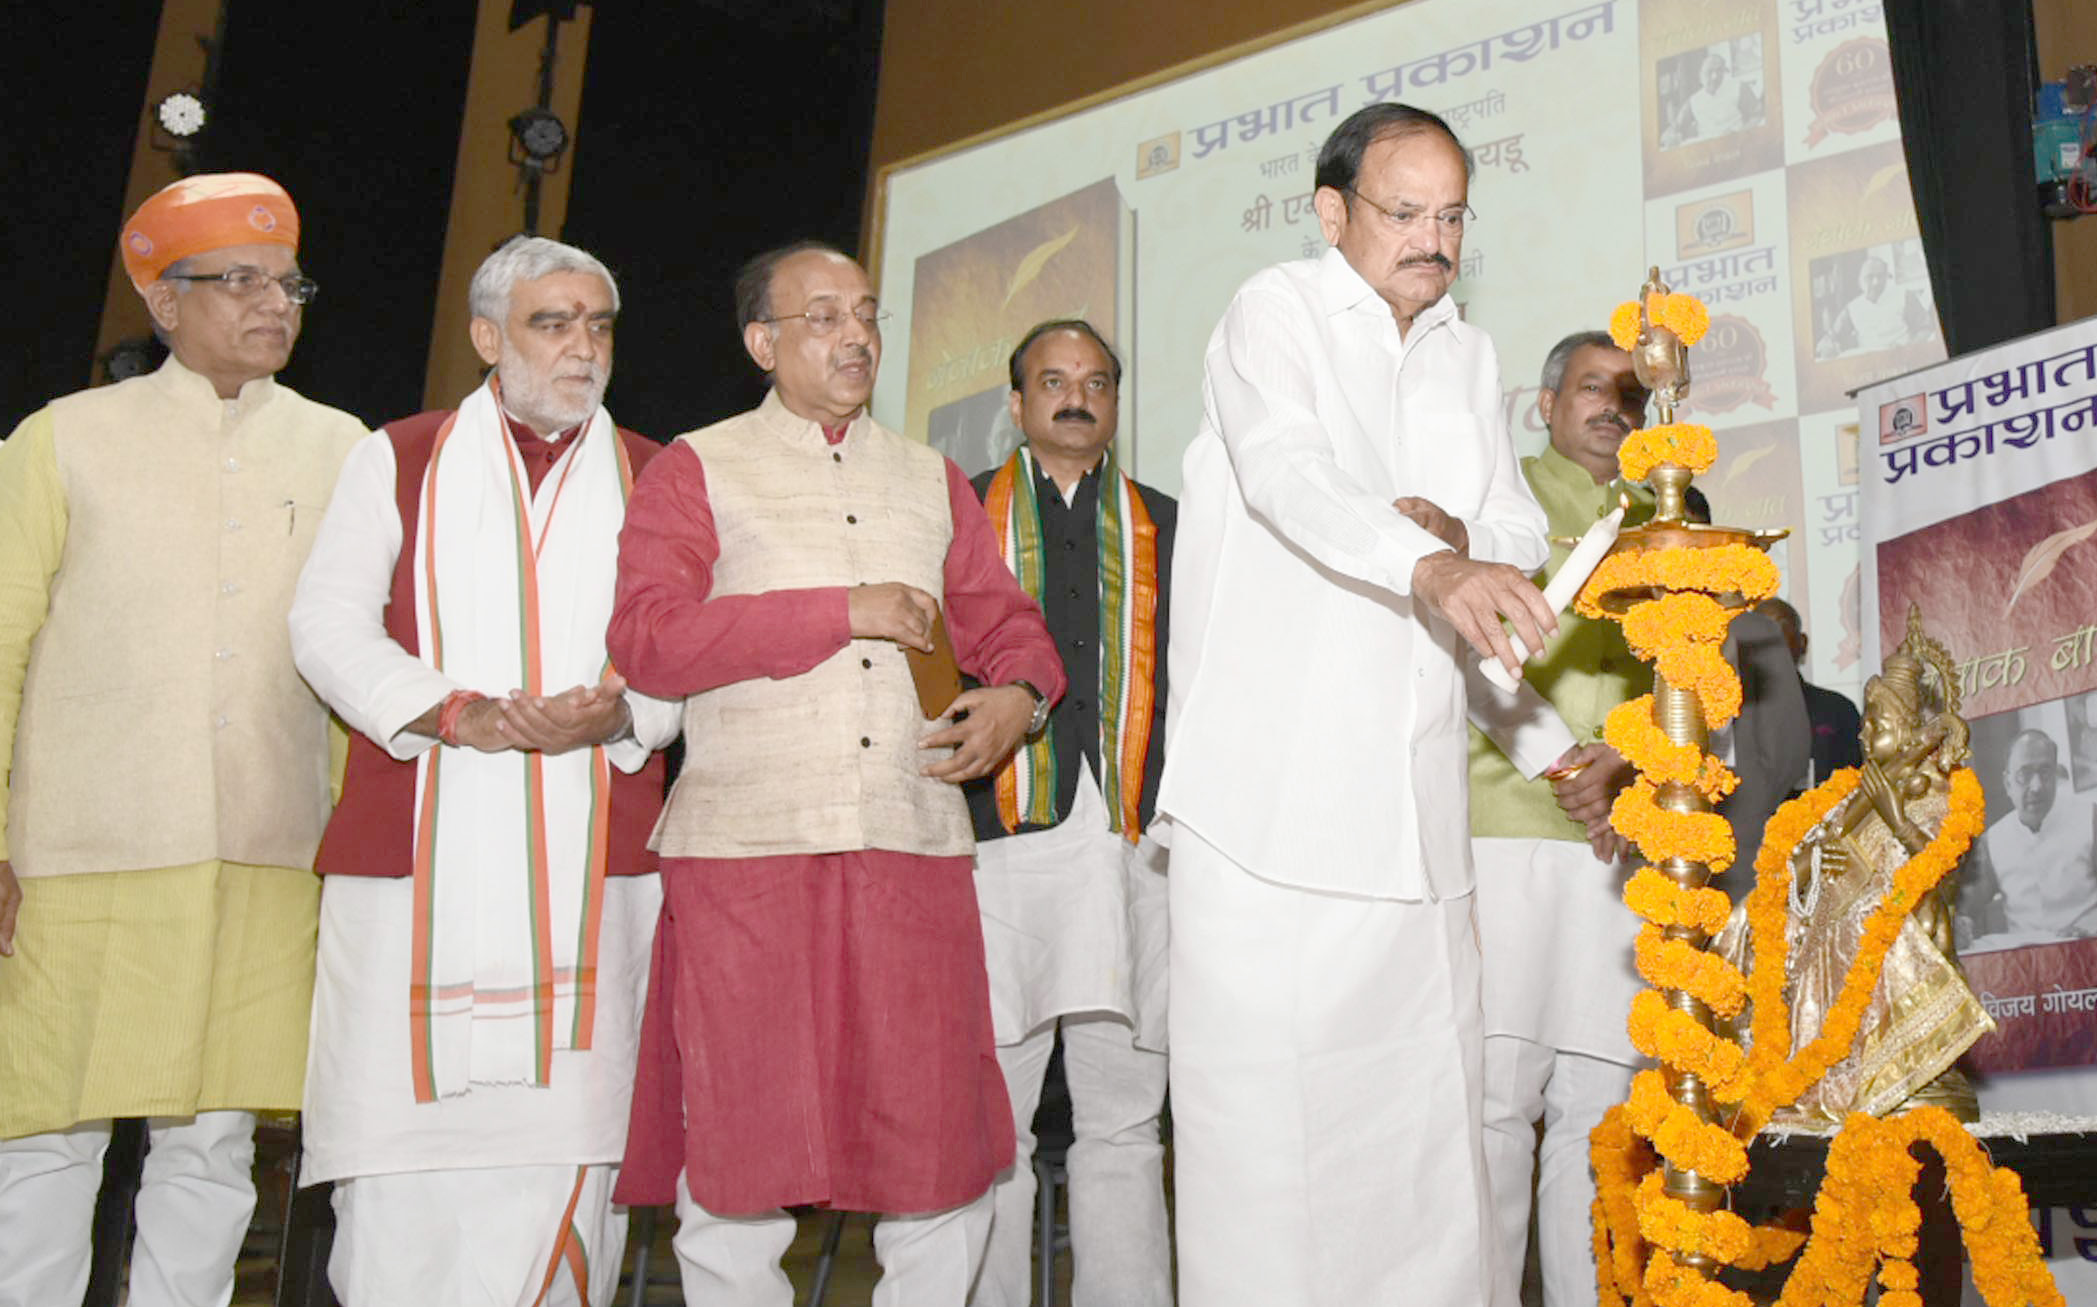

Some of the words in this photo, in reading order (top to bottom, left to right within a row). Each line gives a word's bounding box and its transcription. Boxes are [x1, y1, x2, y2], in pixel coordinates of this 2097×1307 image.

[1356, 0, 1620, 109] प्रकाशन
[1185, 79, 1349, 165] प्रभात
[1439, 78, 1514, 134] राष्ट्रपति
[1254, 145, 1301, 193] भारत
[1238, 194, 1275, 234] श्री
[1656, 242, 1778, 296] प्रभात
[1678, 270, 1781, 316] काशन
[1919, 341, 2095, 429] प्रभात
[1878, 391, 2095, 491] प्रकाशन
[1973, 983, 2037, 1027] विजय
[2038, 979, 2096, 1017] गोयल